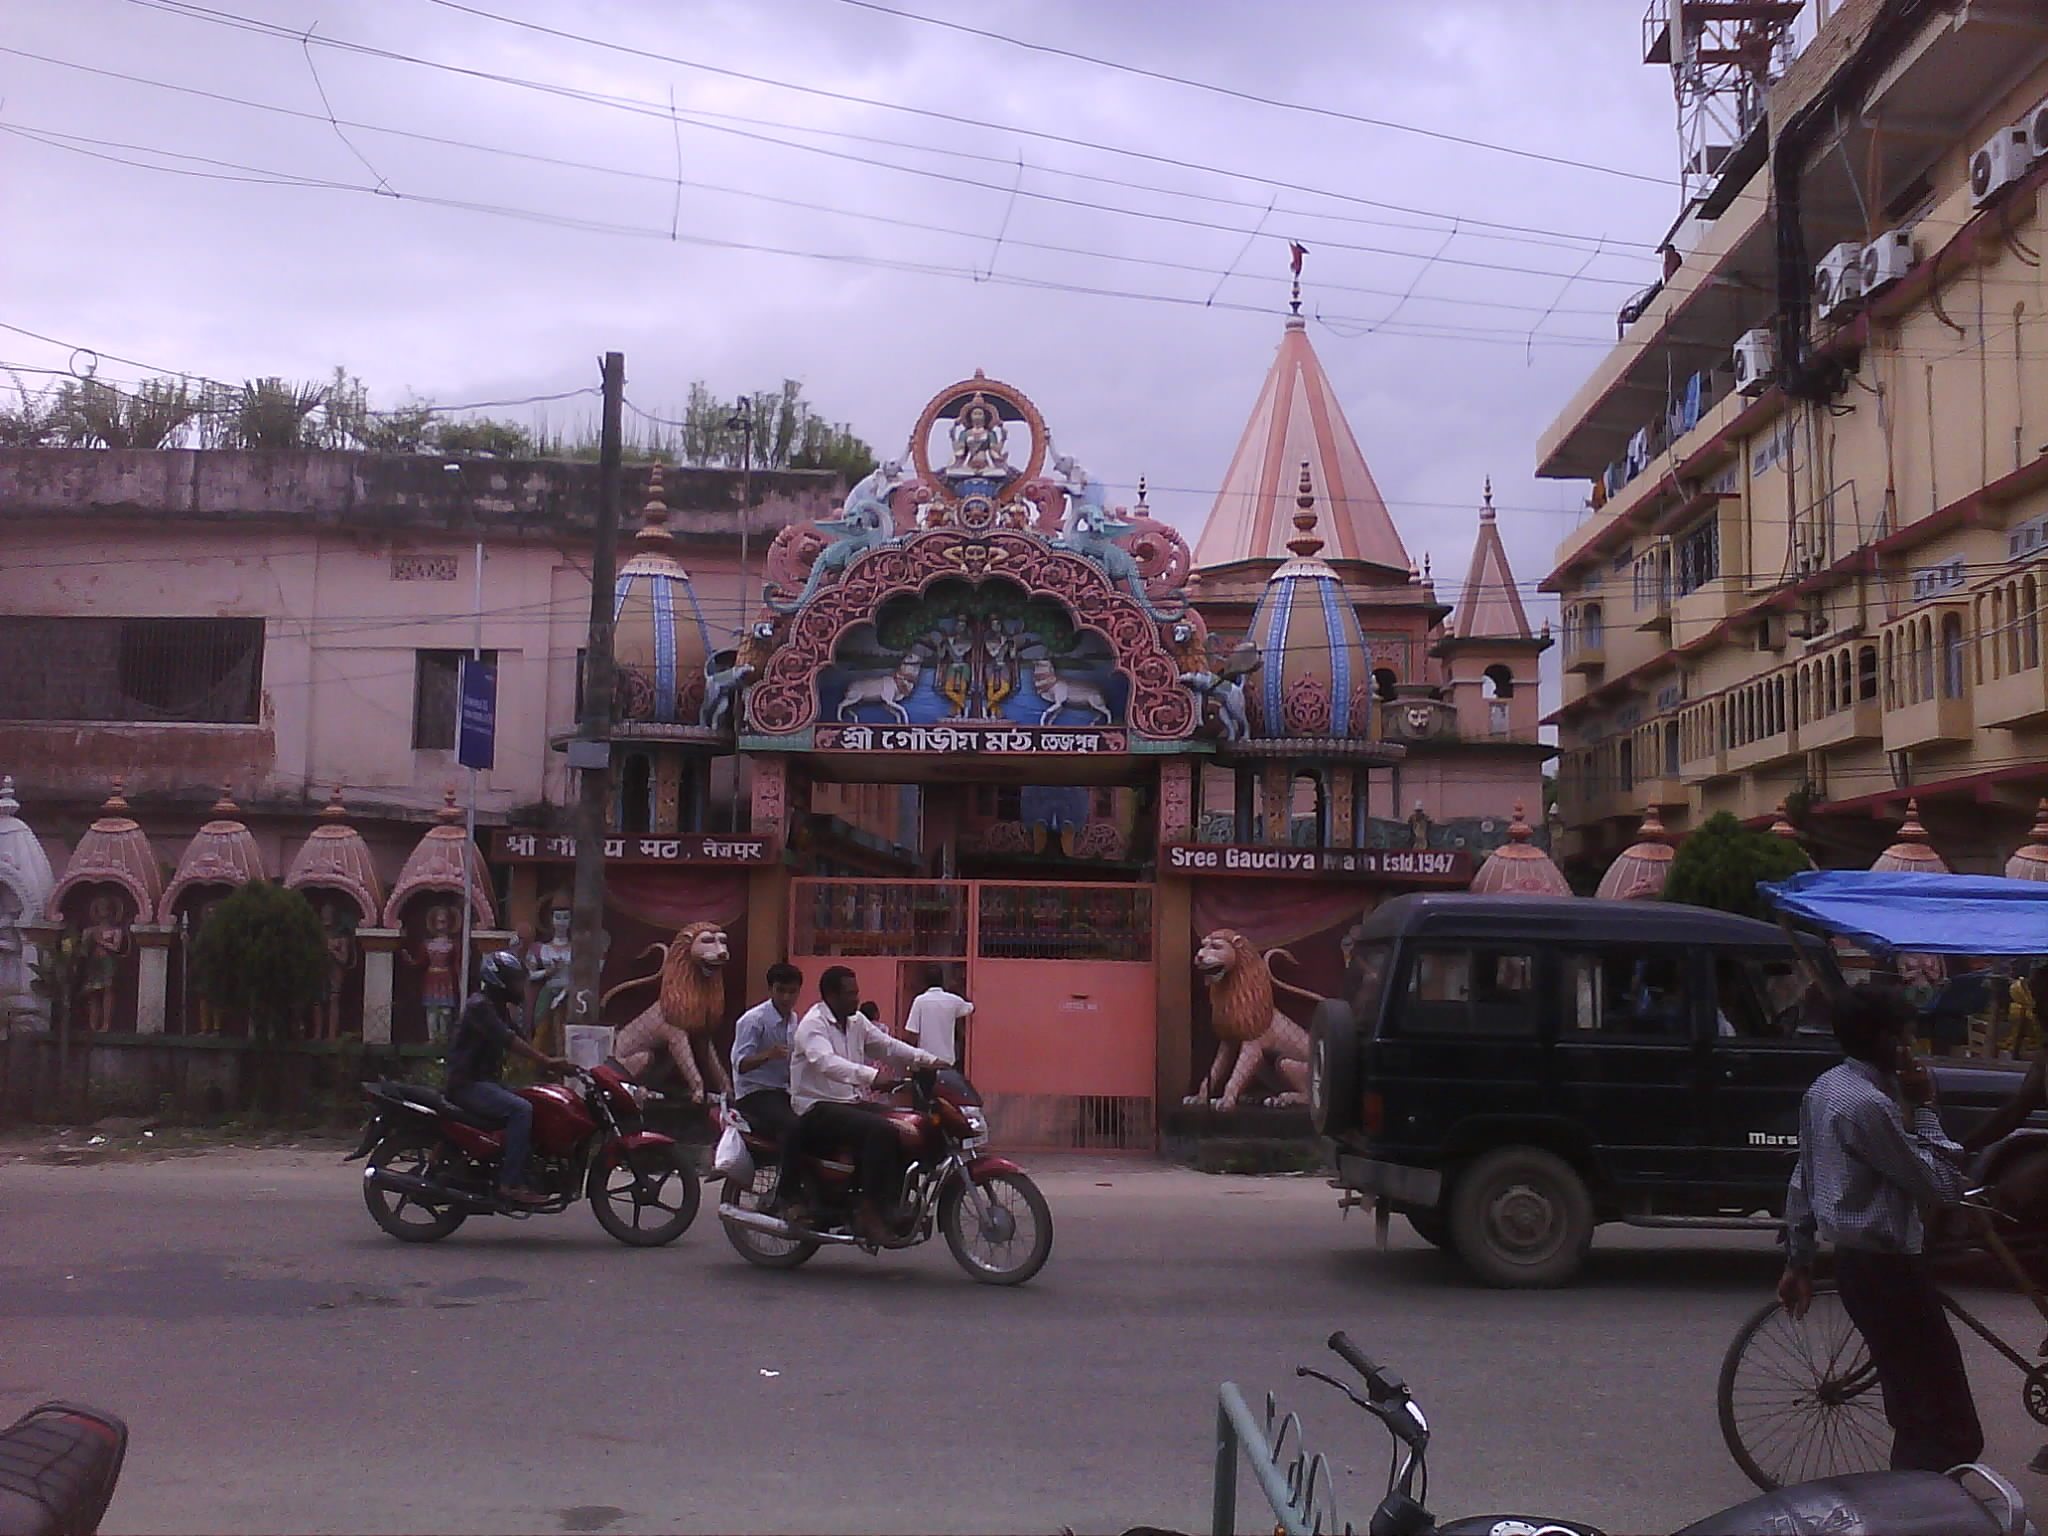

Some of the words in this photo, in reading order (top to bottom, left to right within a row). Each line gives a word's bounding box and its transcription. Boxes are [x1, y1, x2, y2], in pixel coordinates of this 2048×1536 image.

[837, 713, 883, 761] শ্রী
[879, 713, 982, 761] গৌড়ীয়
[973, 719, 1038, 758] মঠ,
[1037, 724, 1104, 757] তেজপুৰ
[633, 832, 686, 865] मठ
[692, 827, 769, 869] तेजपुर
[1157, 836, 1224, 875] Sree
[1215, 843, 1323, 879] Gaudiya
[1378, 843, 1459, 879] Estd.1947